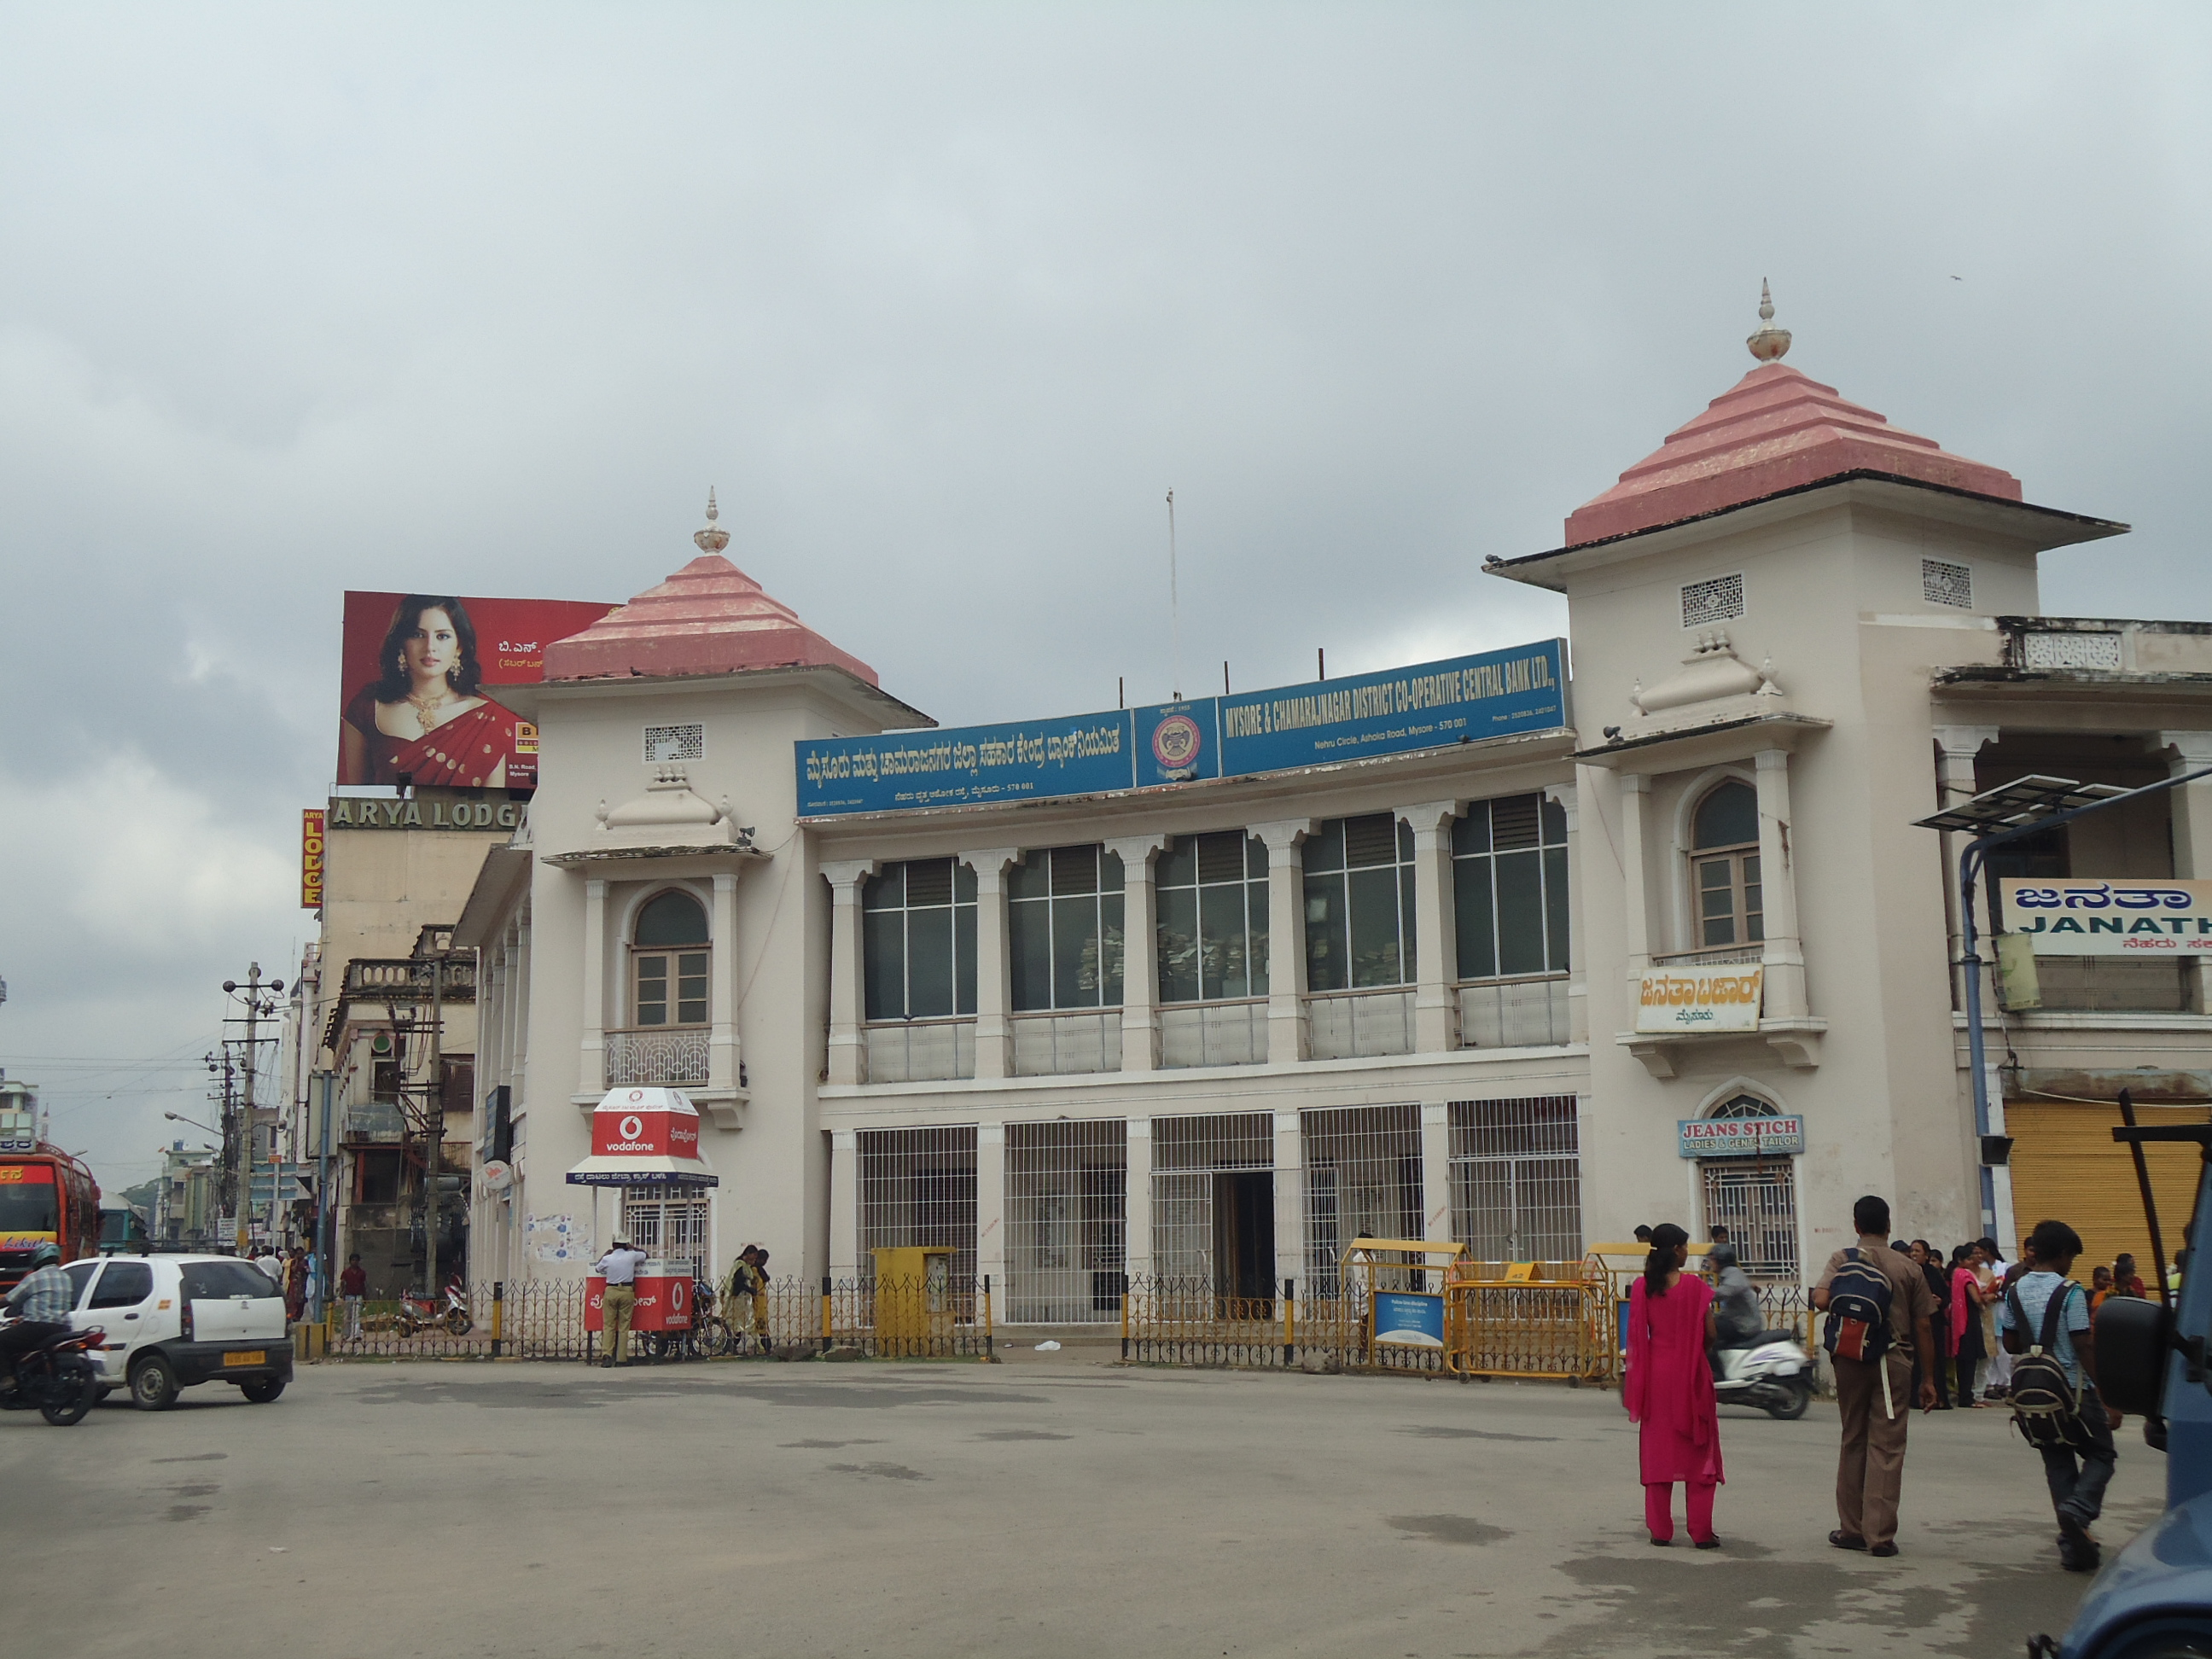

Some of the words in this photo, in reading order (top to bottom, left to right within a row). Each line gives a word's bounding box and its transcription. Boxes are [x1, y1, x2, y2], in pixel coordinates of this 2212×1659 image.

[492, 634, 542, 658] ಬಿ.ಎನ್.
[800, 742, 854, 792] ಮೈಸೂರು
[849, 742, 883, 784] ಮತ್ತು
[877, 736, 982, 781] ಚಾಮರಾಜನಗರಜಿಲ್ಲಾ
[975, 732, 1018, 771] ಸಹಕಾರ
[1010, 726, 1051, 773] ಕೇಂದ್ರ
[1043, 719, 1125, 770] ಬ್ಯಾಂಕ್ನಿಯಮಿತ
[1221, 699, 1265, 742] MYSORE
[1255, 700, 1276, 736] &
[1268, 686, 1354, 733] CHAMARAJNAGAR
[1310, 734, 1338, 753] Nehru
[1334, 731, 1359, 750] Circle,
[1348, 677, 1396, 723] DISTRICT
[1357, 727, 1388, 748] Ashoka
[1382, 724, 1409, 742] Road,
[1403, 718, 1438, 740] Mysore
[1392, 668, 1464, 716] CO-OPERATIVE
[1435, 713, 1472, 735] 570001
[1460, 658, 1506, 704] CENTRAL
[1499, 654, 1535, 699] BANK
[1525, 649, 1557, 692] LTD.,
[892, 788, 917, 806] ನೆಹರು
[911, 786, 933, 805] ವೃತ್ತ
[925, 784, 957, 801] ಅಠೋಕ
[950, 783, 969, 805] ರಸ್ತೆ,
[967, 778, 1003, 800] ಮೈಸೂರು
[1004, 779, 1037, 795] 570001
[300, 808, 324, 823] ARYA
[329, 798, 428, 828] ARYA
[431, 801, 524, 831] LODG
[297, 817, 325, 907] LODOE
[2009, 876, 2197, 915] ಜನತಾ
[2019, 906, 2209, 941] JANATH
[2117, 930, 2179, 953] ನೆಹರು
[1637, 968, 1762, 1010] ಜನತಾಬಜಾರ್
[1671, 1002, 1719, 1029] ಮೈಸೂರು
[603, 1138, 658, 1154] vodafone
[1679, 1138, 1719, 1153] LADIES
[1682, 1121, 1740, 1143] JEANS
[1714, 1135, 1729, 1153] &
[1726, 1134, 1762, 1151] GENTS
[1738, 1115, 1800, 1137] STICH
[1757, 1134, 1803, 1149] TAILOR
[582, 1171, 614, 1186] ದಾಟಲು
[648, 1170, 669, 1183] LVL
[661, 1307, 692, 1327] vodafone